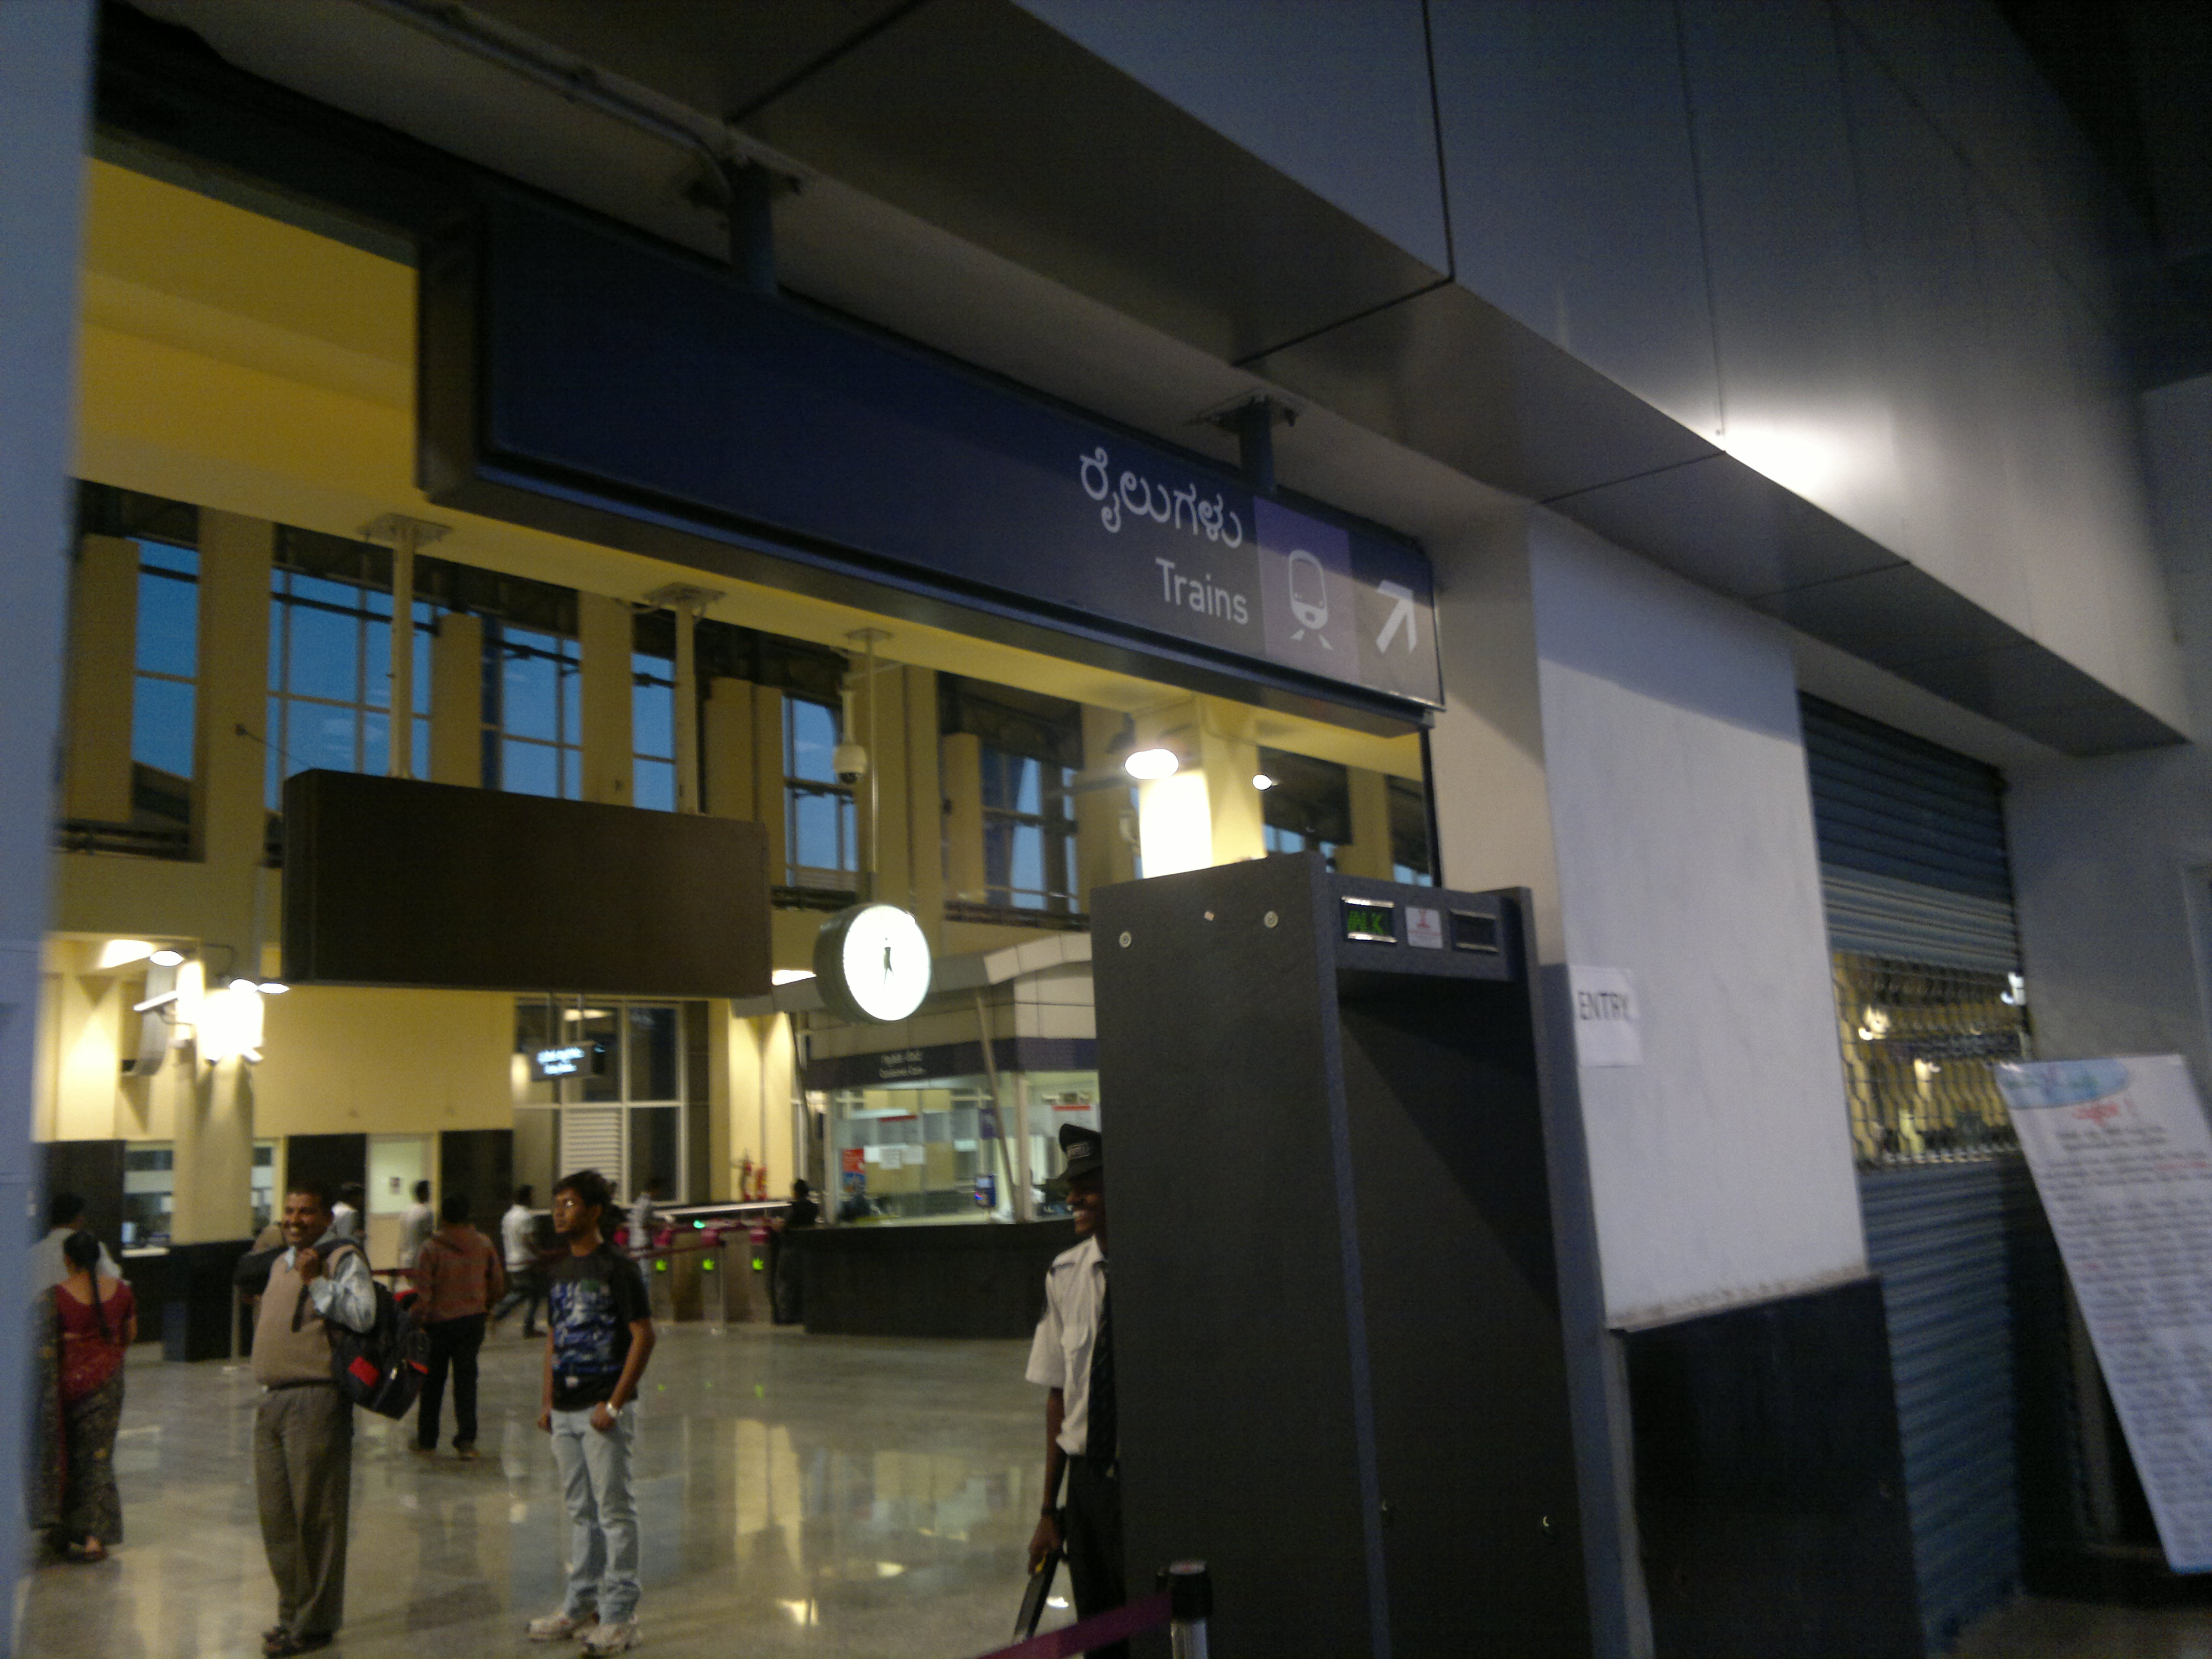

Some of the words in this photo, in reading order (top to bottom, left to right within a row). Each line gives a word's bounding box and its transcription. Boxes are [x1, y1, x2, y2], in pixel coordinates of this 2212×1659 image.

[1071, 436, 1250, 559] ರೈಲುಗಳು
[1150, 553, 1256, 630] Trains